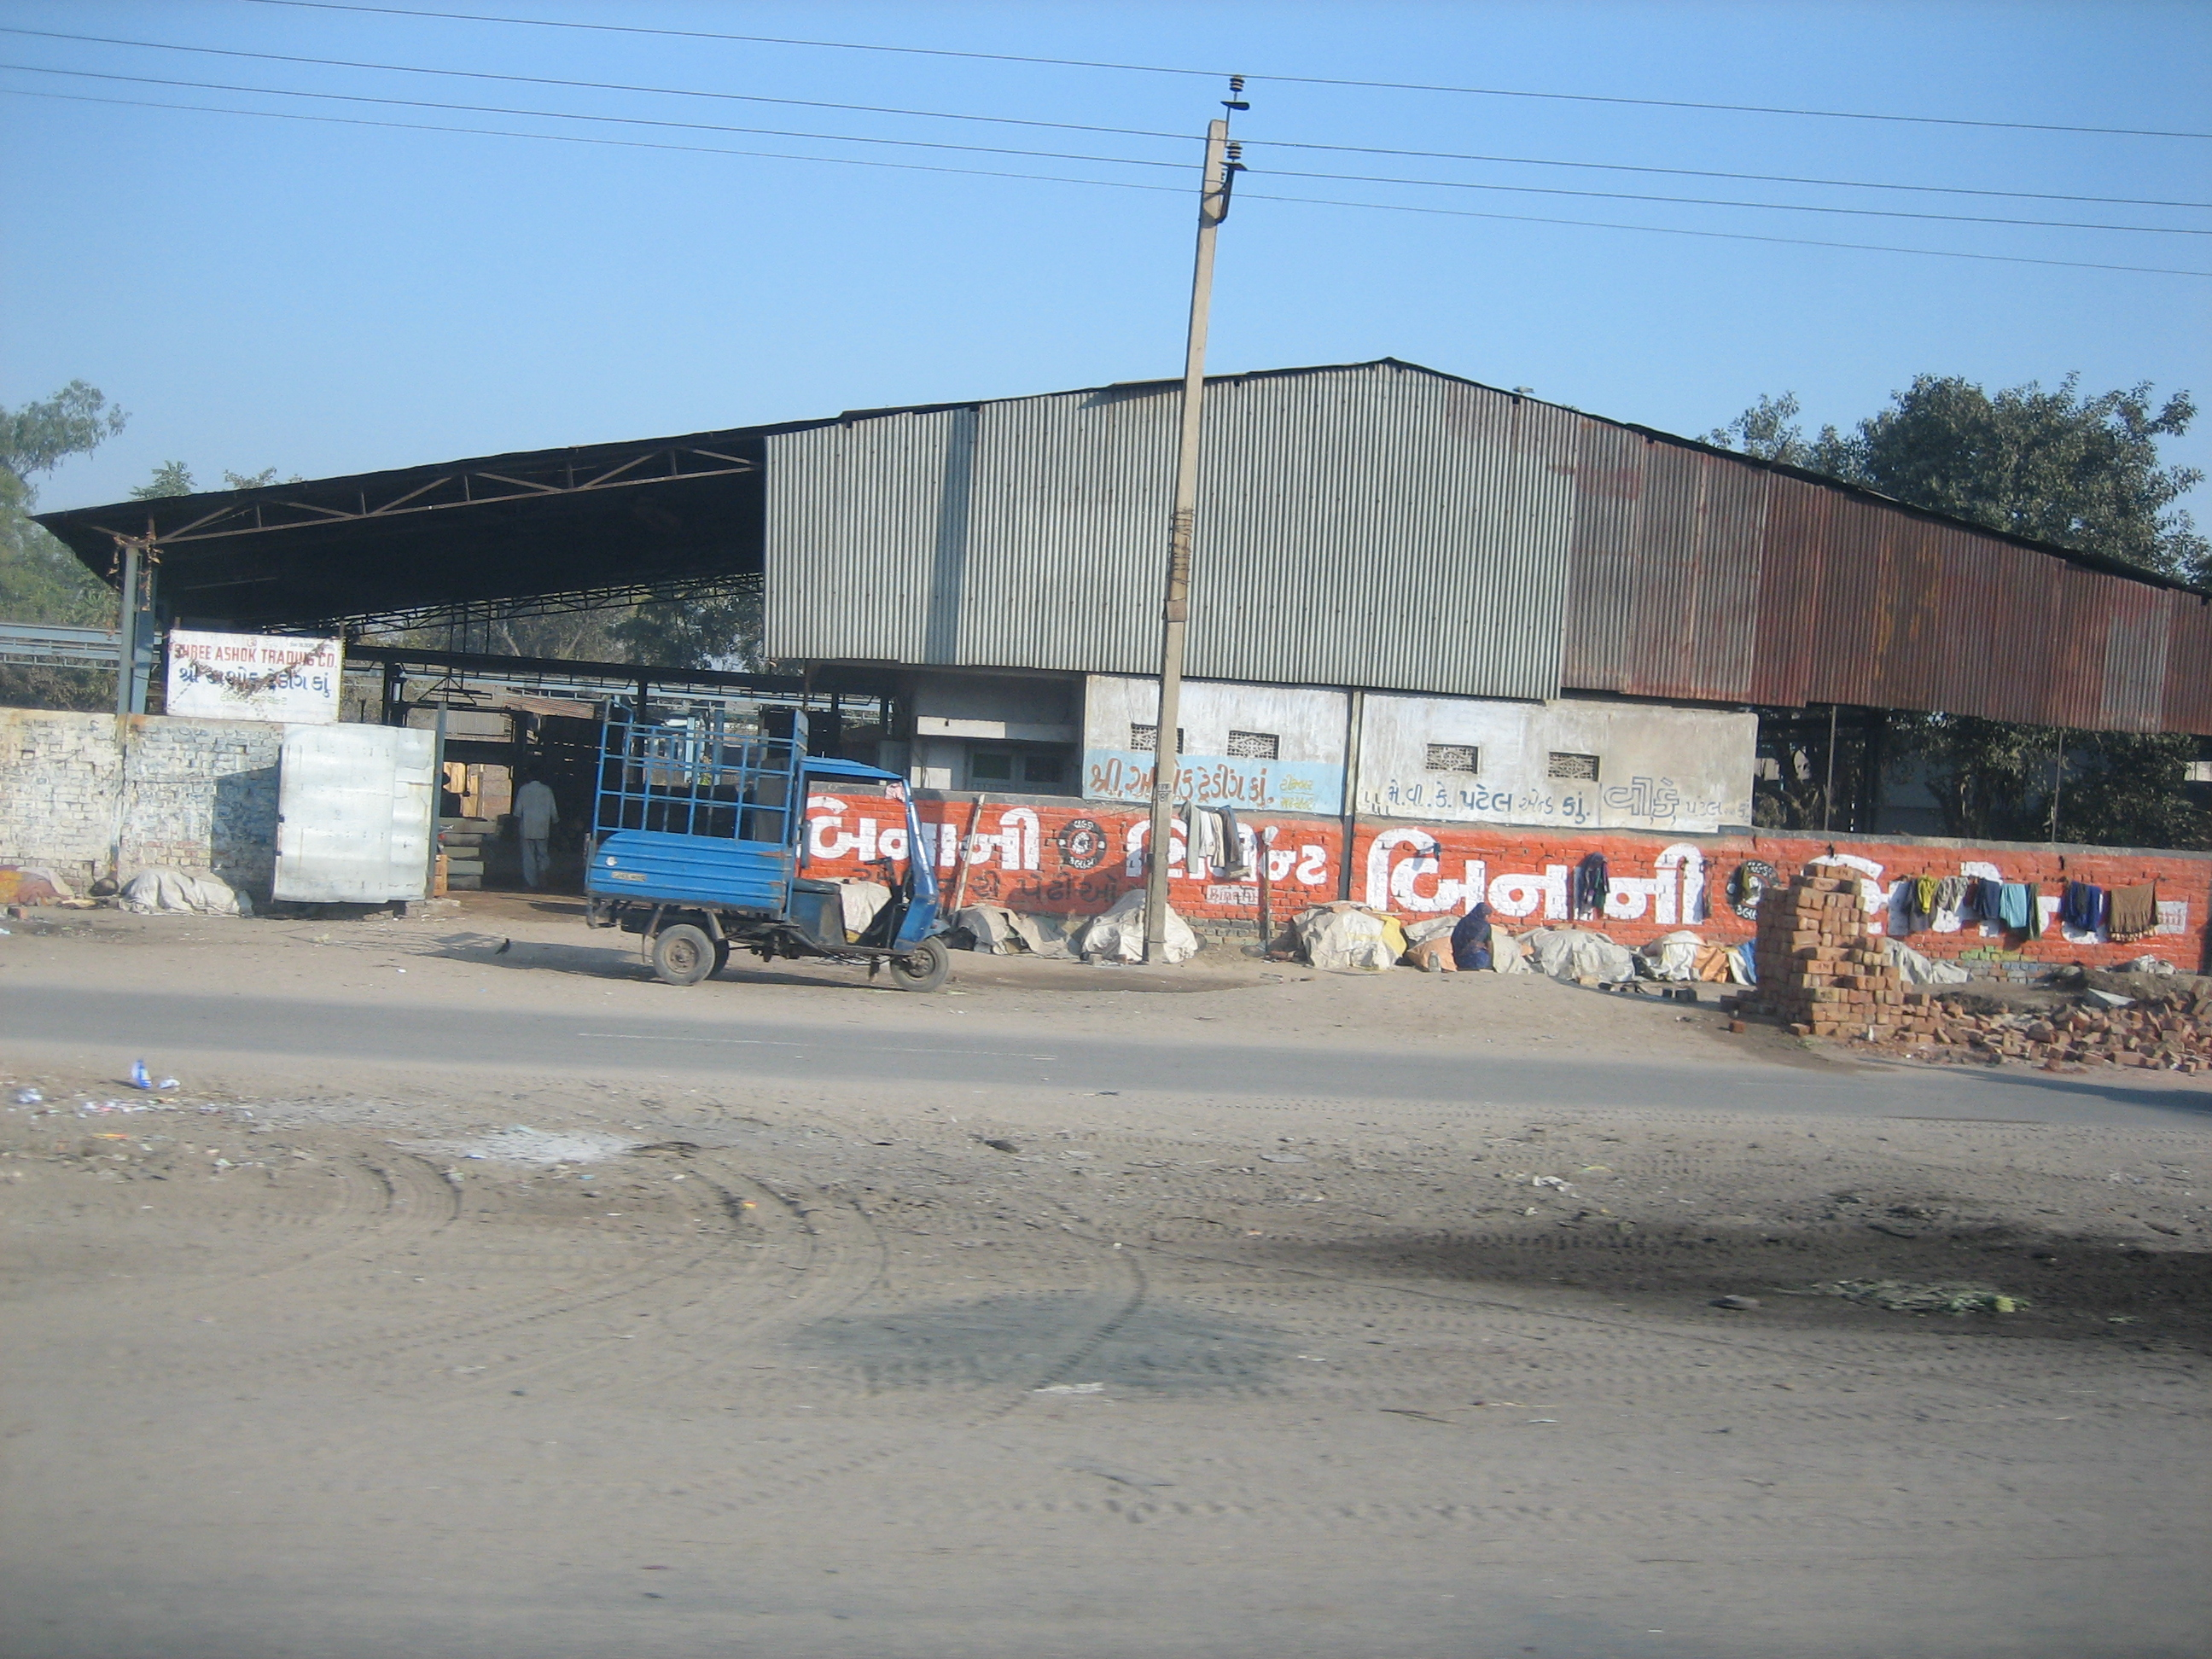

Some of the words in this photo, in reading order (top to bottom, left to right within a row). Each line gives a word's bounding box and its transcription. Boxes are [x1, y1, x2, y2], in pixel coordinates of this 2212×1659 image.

[1189, 766, 1258, 791] ટેડીંગ
[1369, 784, 1429, 814] મ.વી
[1449, 784, 1514, 816] પટેલ
[812, 807, 934, 861] બન
[939, 805, 1034, 875] ની
[1175, 812, 1338, 890] ન્ટ
[1369, 827, 1714, 931] બિનાની